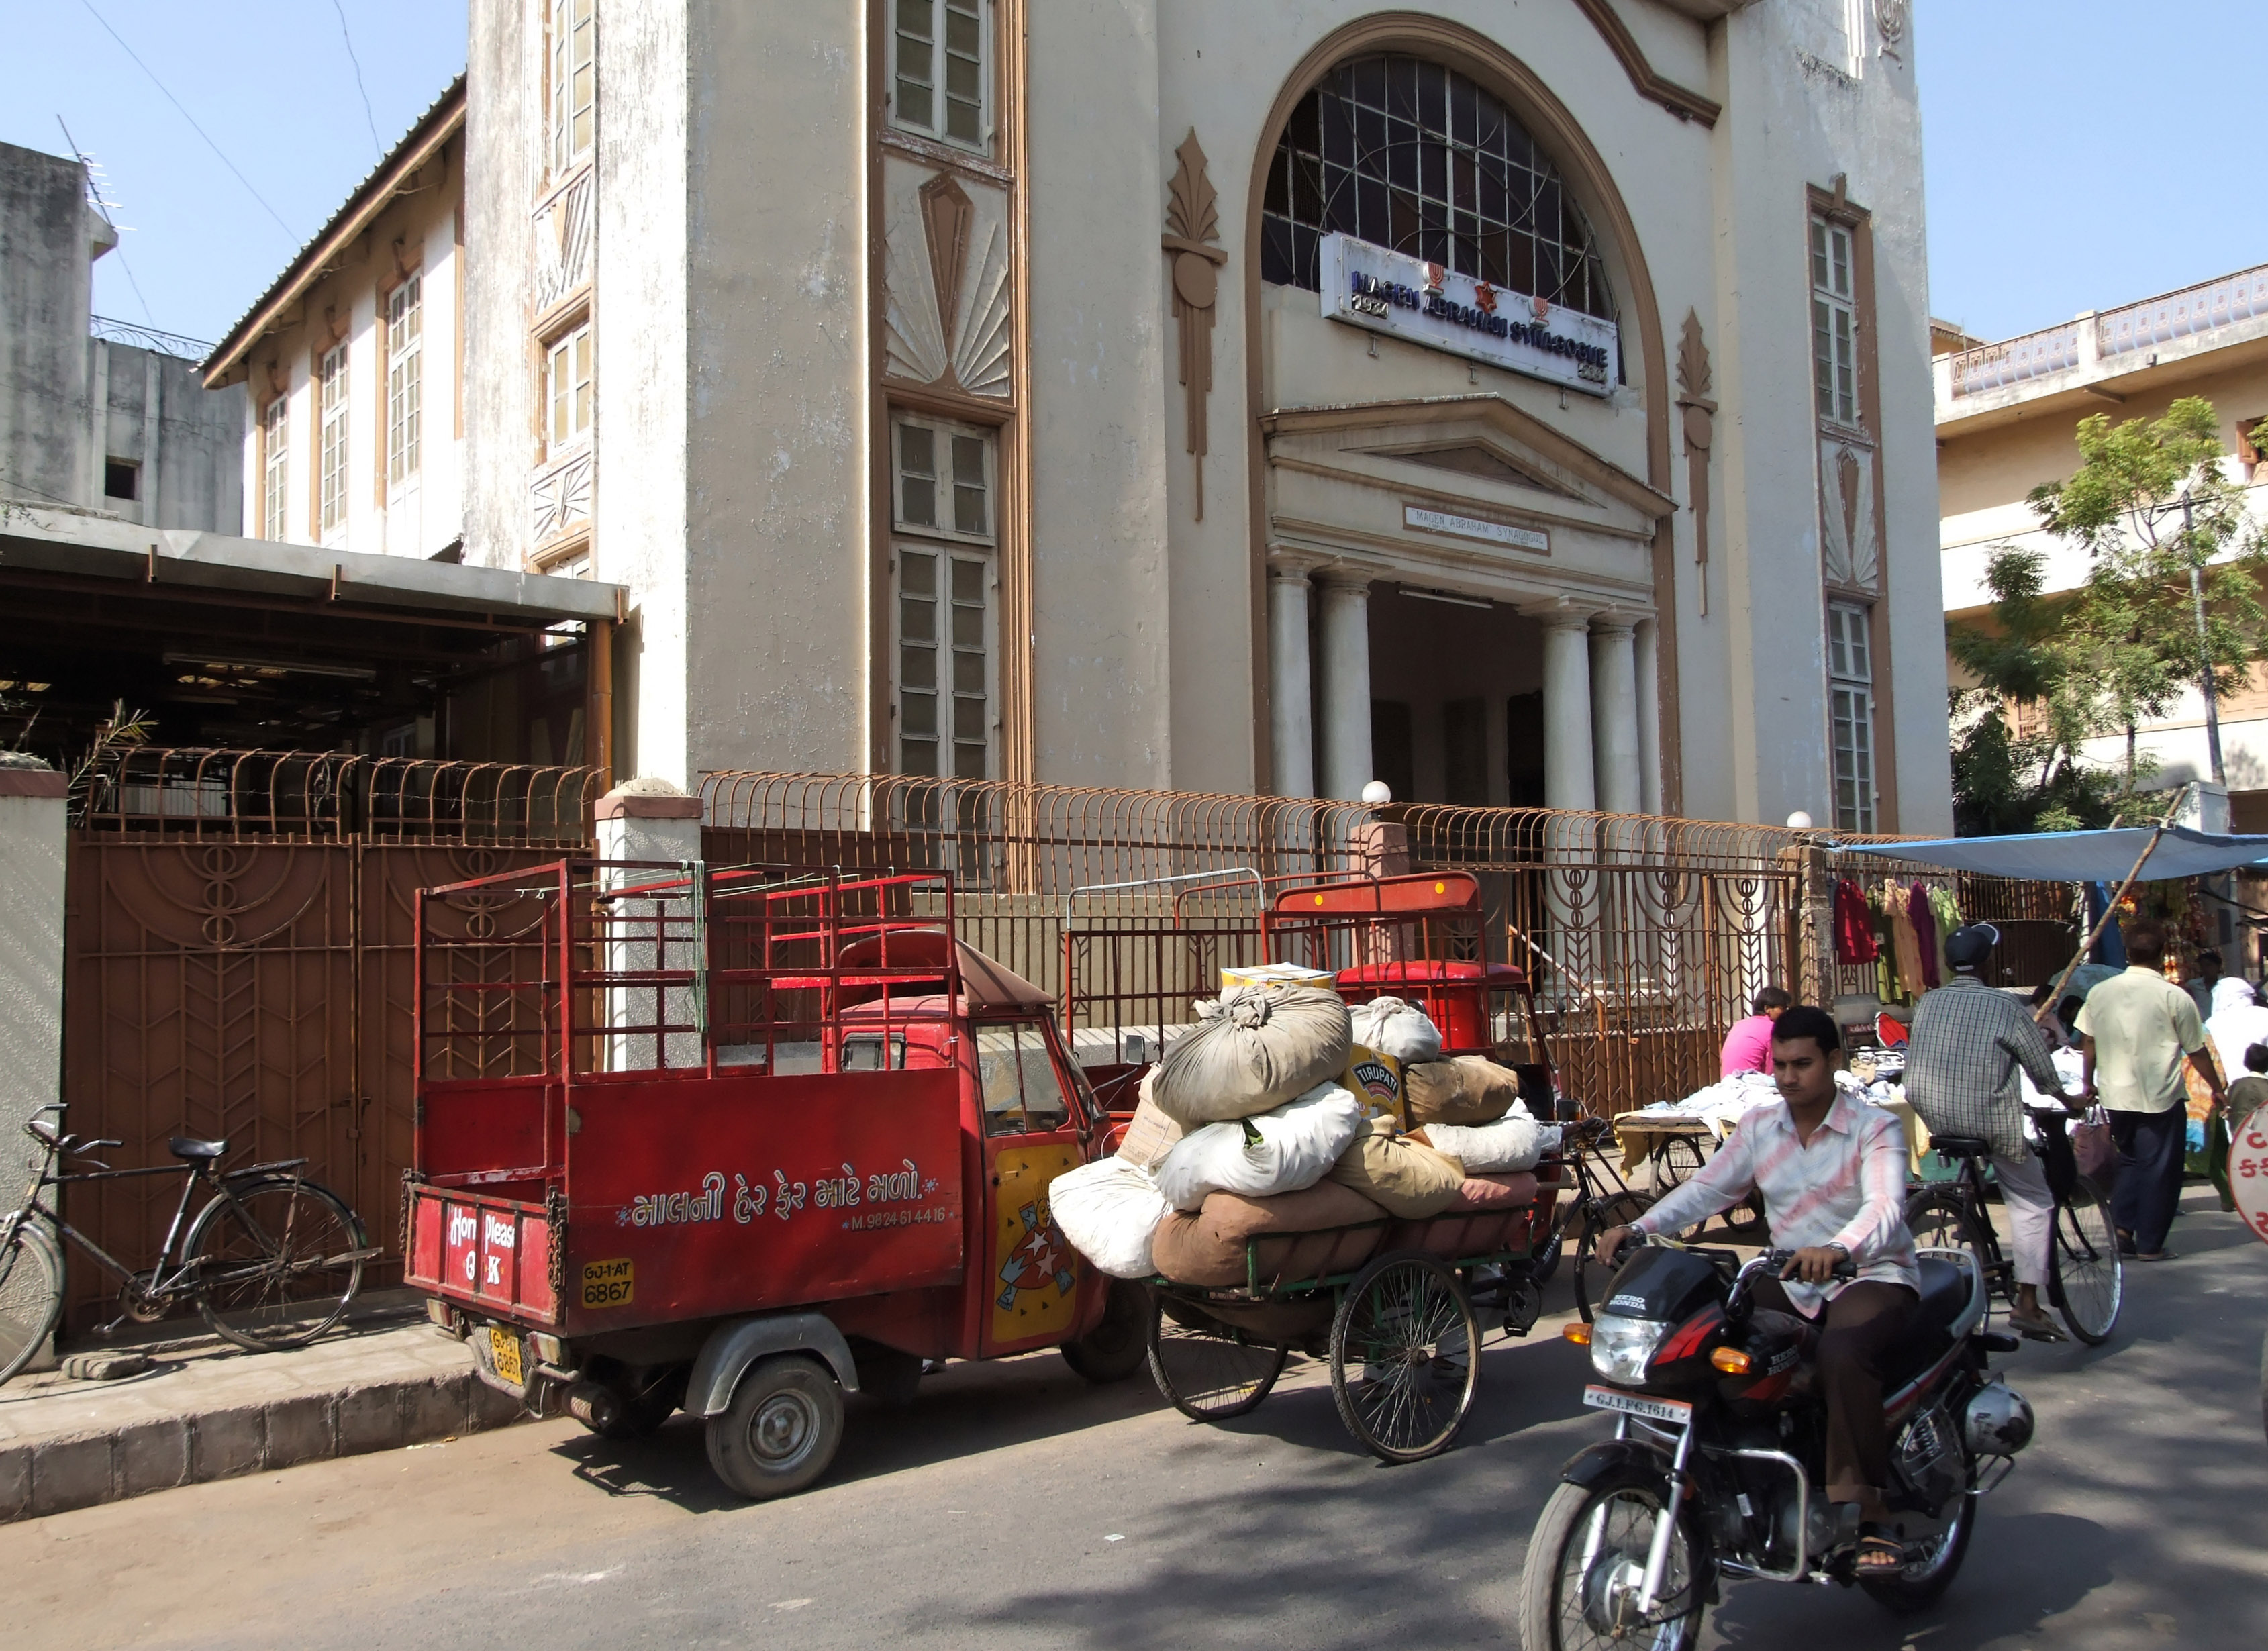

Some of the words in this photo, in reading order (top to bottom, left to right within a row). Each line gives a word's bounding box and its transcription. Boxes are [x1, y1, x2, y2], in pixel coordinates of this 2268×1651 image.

[1350, 1063, 1399, 1095] TIRUPATI
[620, 1168, 731, 1230] માલની
[720, 1155, 813, 1236] હે૨ફે૨
[808, 1158, 864, 1216] માટે
[864, 1155, 928, 1207] મળો.
[446, 1206, 479, 1250] Hon
[480, 1213, 515, 1256] Please
[848, 1213, 865, 1232] M
[866, 1205, 947, 1232] 9824614416
[460, 1251, 477, 1284] ે૧૩
[485, 1253, 507, 1290] K
[582, 1259, 630, 1279] ૯૩૧૪૪
[580, 1277, 631, 1306] 6867